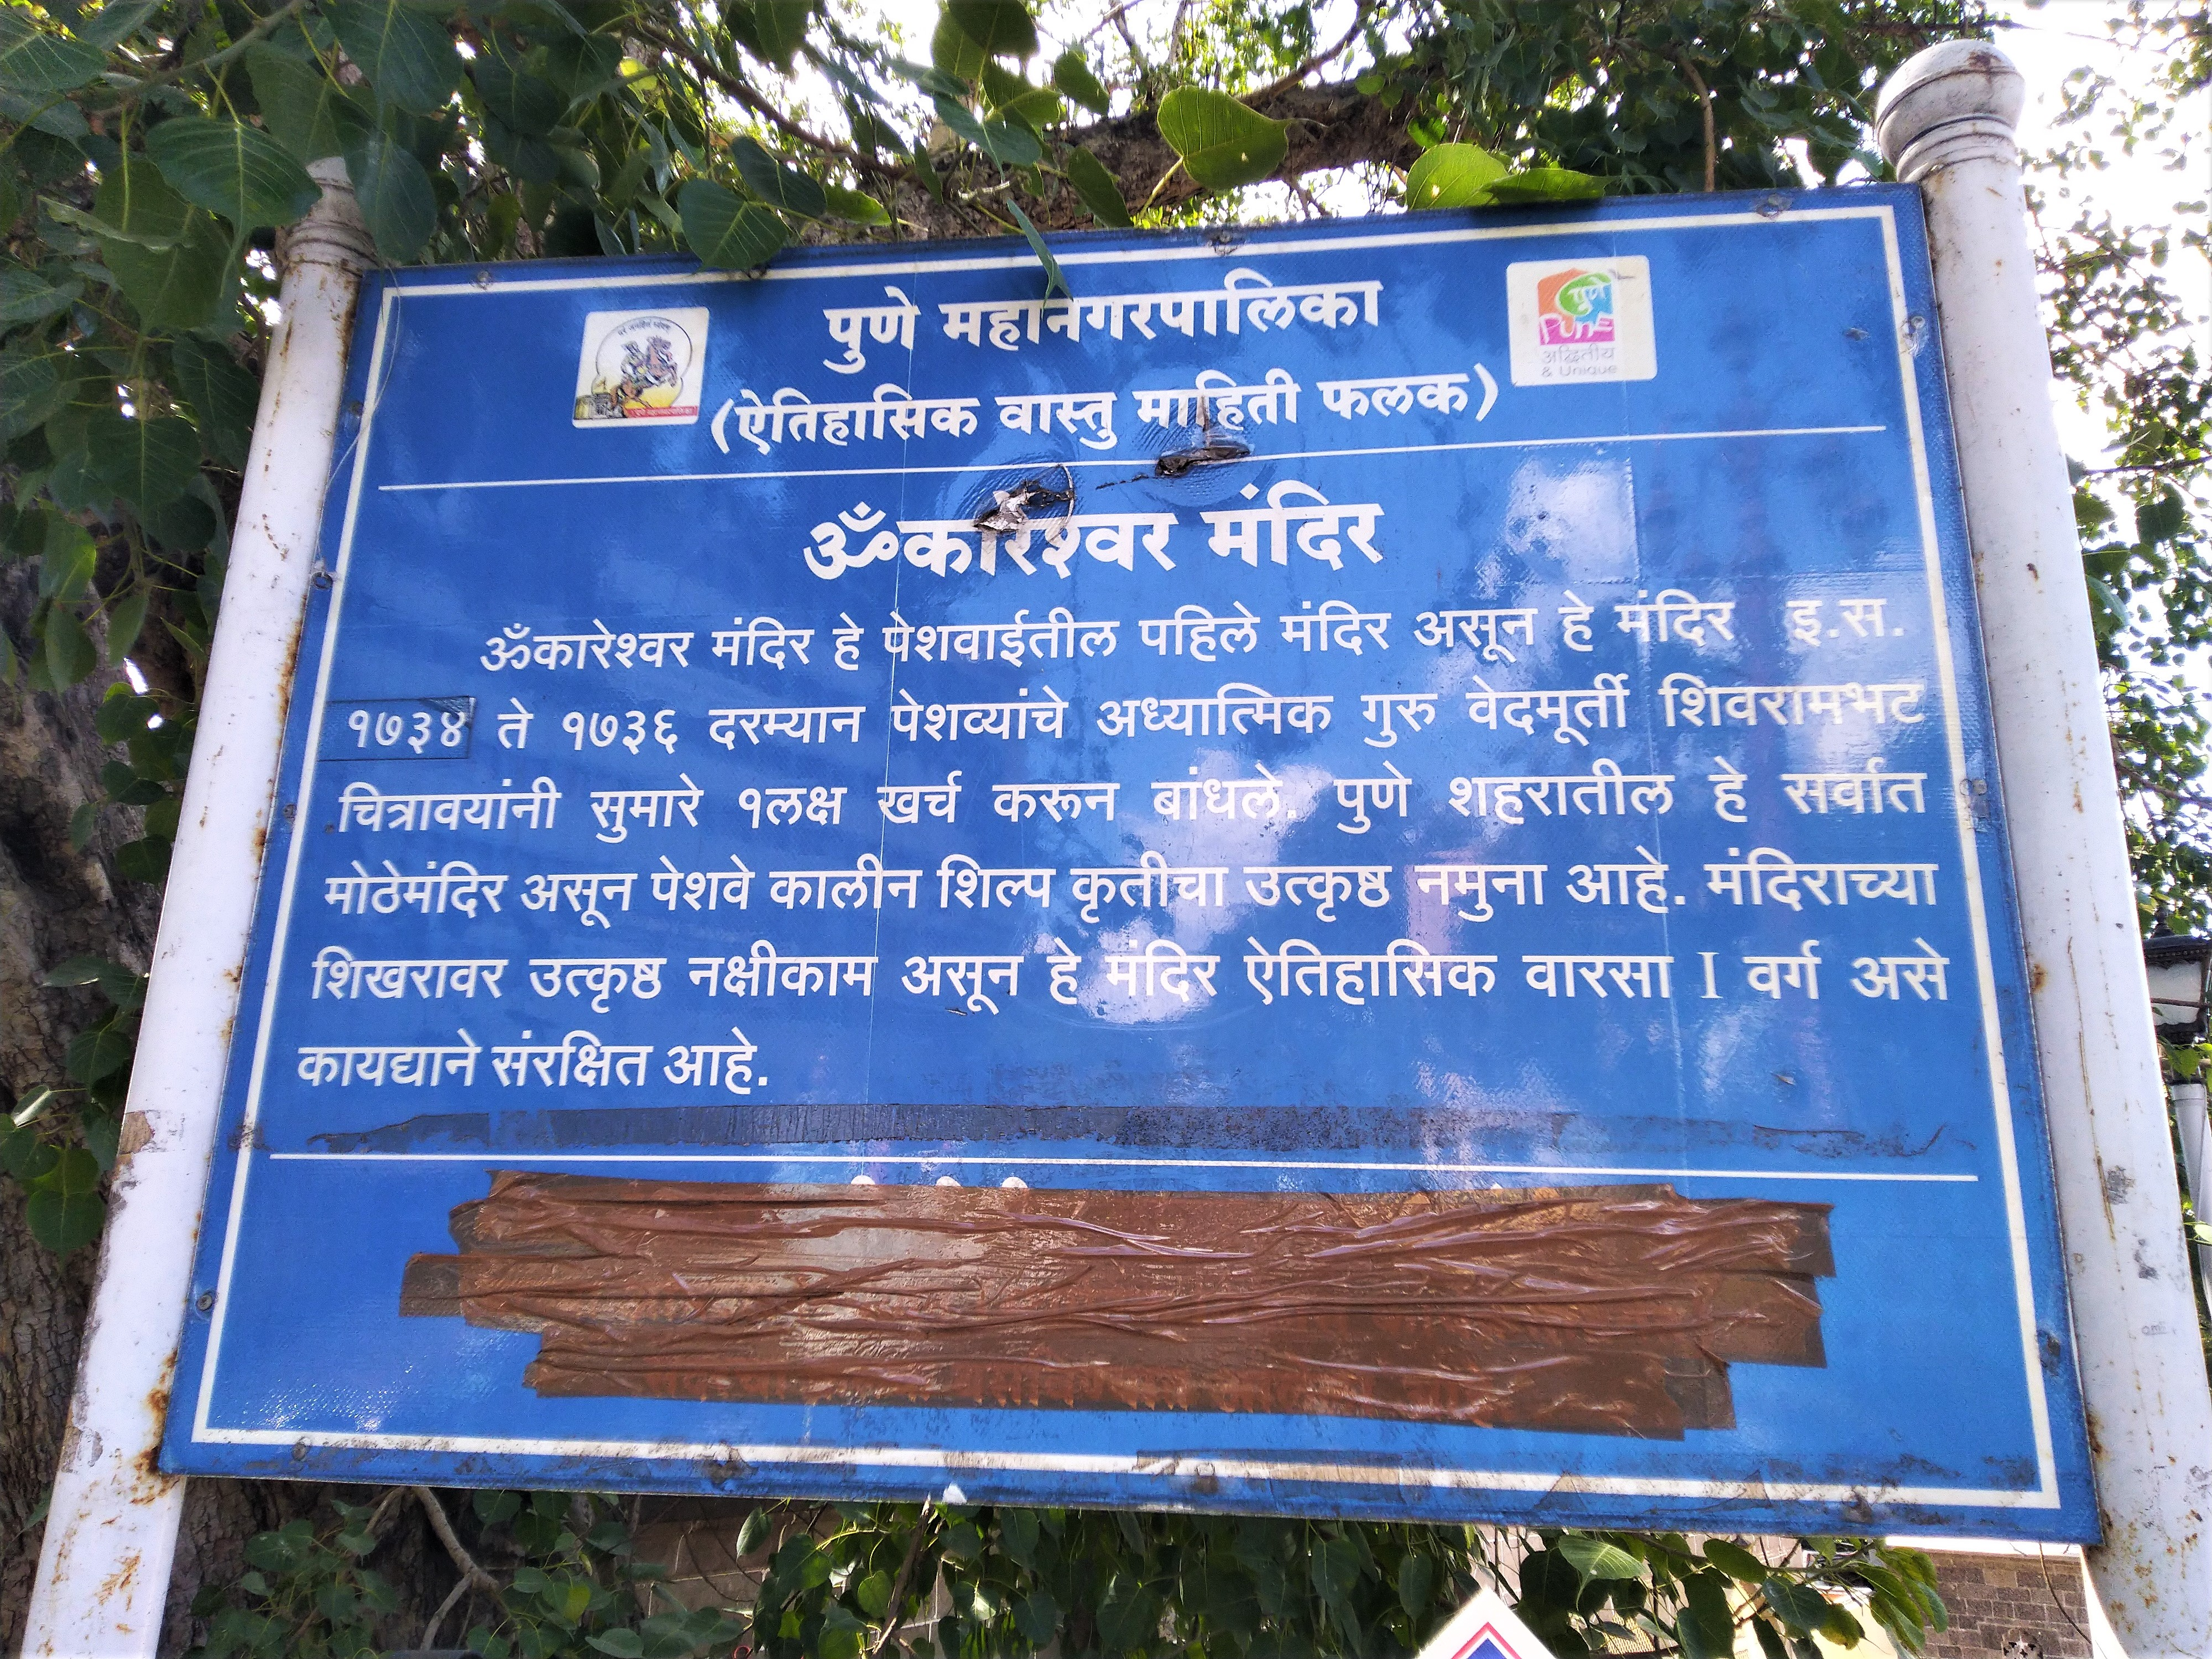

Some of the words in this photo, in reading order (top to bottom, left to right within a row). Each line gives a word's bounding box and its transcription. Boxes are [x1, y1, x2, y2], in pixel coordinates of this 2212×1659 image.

[812, 282, 925, 374] पुणे
[934, 258, 1391, 359] महानगरपालिका
[702, 380, 988, 462] (ऐतिहासिक
[988, 380, 1123, 455] वास्तु
[1124, 361, 1311, 438] माहिती
[1313, 354, 1503, 433] फलक)
[784, 481, 1189, 596] ॐकारेश्वर
[1188, 472, 1397, 586] मंदिर
[472, 610, 698, 685] ॐकारेश्वर
[702, 613, 818, 672] मंदिर
[821, 606, 870, 676] हे
[874, 600, 1125, 676] पेशवाईतील
[1135, 593, 1264, 665] पहिले
[1275, 593, 1391, 656] मंदिर
[1407, 601, 1545, 671] असून
[1552, 581, 1603, 661] हे
[1608, 584, 1739, 656] मंदिर
[1780, 592, 1844, 661] इ.
[1833, 592, 1911, 650] स.
[342, 701, 470, 760] १७३४
[491, 693, 538, 758] ते
[552, 703, 687, 761] १७३६
[705, 700, 869, 758] दरम्यान
[886, 679, 1078, 752] पेशव्यांचे
[1089, 671, 1340, 748] अध्यात्मिक
[1356, 685, 1445, 750] गुरु
[1459, 663, 1641, 755] वेदमूर्ती
[1649, 665, 1934, 737] शिवरामभट
[328, 770, 568, 839] चित्रावयांनी
[584, 768, 708, 847] सुमारे
[736, 781, 852, 839] १लक्ष
[869, 764, 968, 838] खर्च
[979, 773, 1129, 831] करून
[1142, 755, 1307, 833] बांधले.
[1324, 762, 1418, 841] पुणे
[1438, 750, 1684, 833] शहरातील
[1700, 745, 1760, 833] हे
[1773, 751, 1943, 826] सर्वात
[318, 851, 516, 928] मोठेमंदिर
[515, 864, 640, 936] असून
[645, 849, 759, 921] पेशवे
[763, 849, 928, 920] कालीन
[931, 846, 1061, 916] शिल्प
[1063, 845, 1234, 932] कृतीचा
[1237, 856, 1398, 930] उत्कृष्ठ
[1406, 852, 1556, 928] नमुना
[1557, 836, 1693, 922] आहे.
[1697, 835, 1948, 920] मंदिराच्या
[302, 940, 515, 1015] शिखरावर
[519, 950, 675, 1018] उत्कृष्ठ
[680, 932, 882, 1013] नक्षीकाम
[893, 944, 1032, 1026] असून
[1039, 927, 1091, 1015] हे
[1097, 935, 1228, 1008] मंदिर
[1238, 928, 1504, 1016] ऐतिहासिक
[1517, 947, 1679, 1001] वारसा
[1694, 943, 1726, 1005] I
[1736, 933, 1830, 1010] वर्ग
[1842, 926, 1955, 1010] असे
[289, 1023, 488, 1097] कायद्याने
[487, 1018, 659, 1095] संरक्षित
[655, 1021, 772, 1103] आहे.